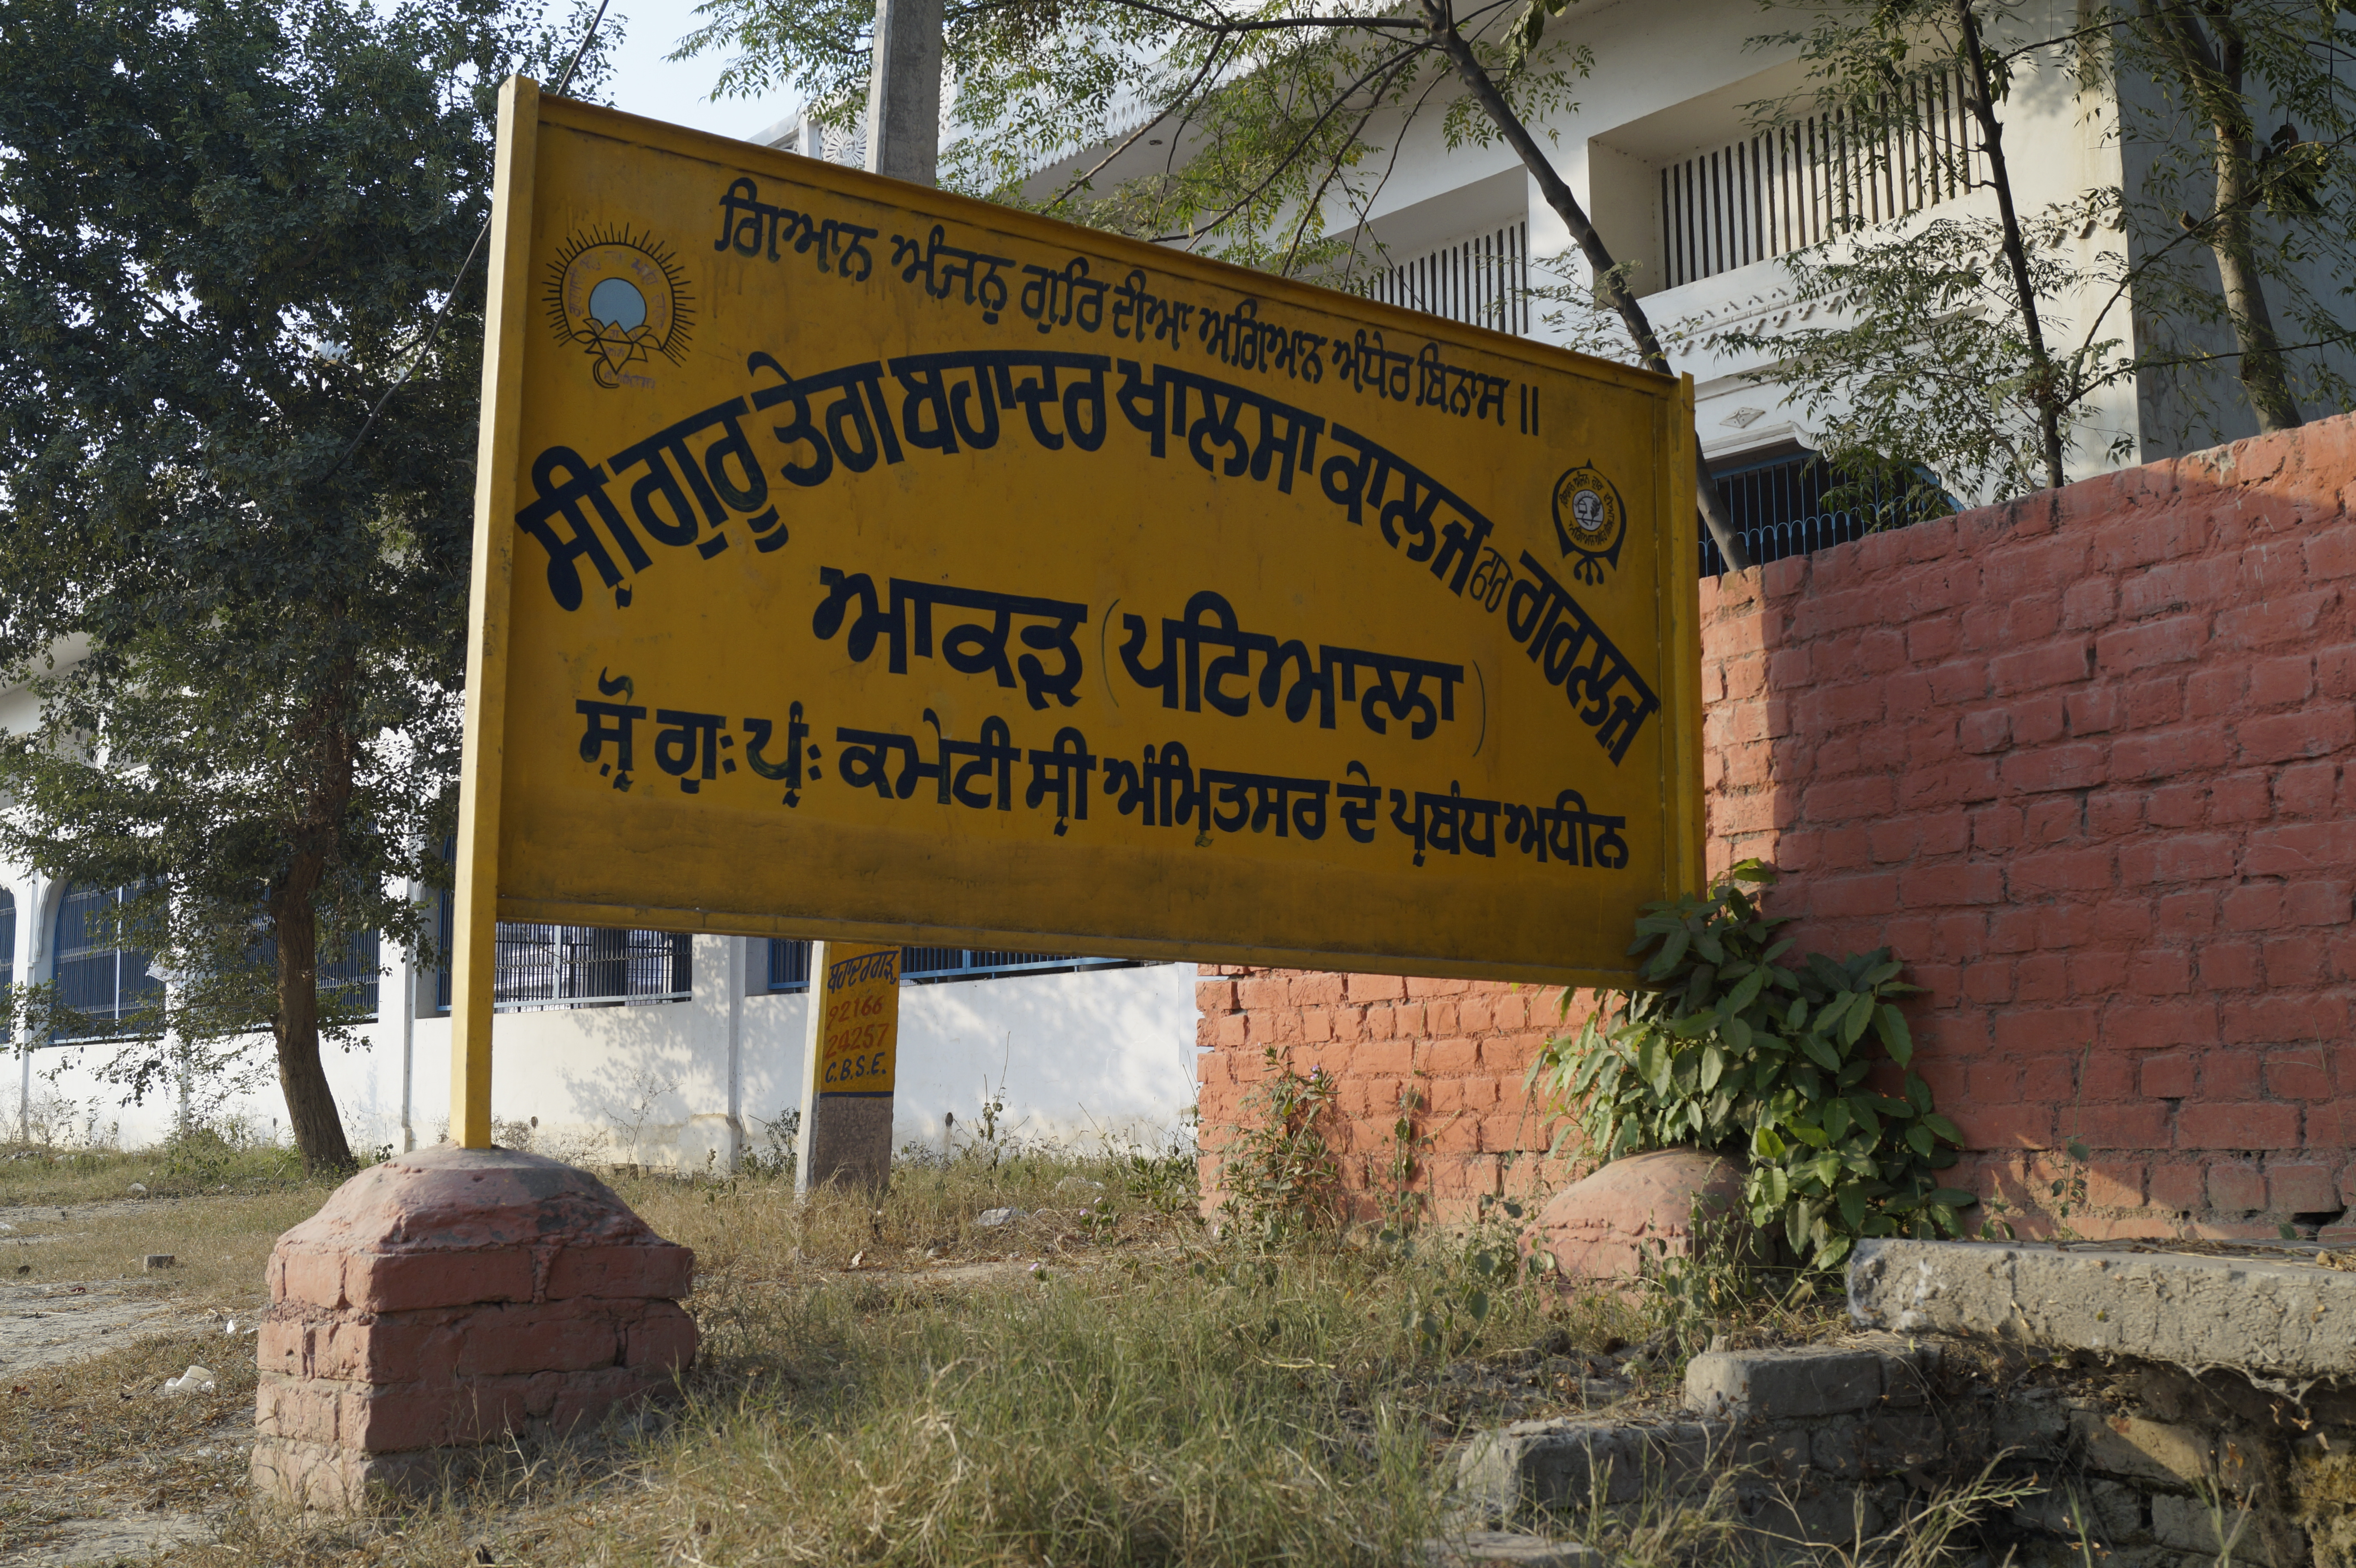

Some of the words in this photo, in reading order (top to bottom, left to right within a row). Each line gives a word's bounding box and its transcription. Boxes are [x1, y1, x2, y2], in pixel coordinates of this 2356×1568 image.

[507, 435, 663, 629] ਸੑੀ
[595, 372, 801, 578] ਗੁਹੂ
[704, 171, 885, 294] ਗਿਆਨ
[739, 341, 911, 509] ਤੇਗ
[881, 218, 1019, 335] ਅੰਜਨੁ
[803, 555, 1098, 719] ਆਕੜ
[880, 345, 1115, 469] ਬਹਾਦਰ
[1013, 249, 1117, 343] ਗੁਰਿ
[1105, 264, 1202, 359] ਦੀਆ
[1111, 351, 1332, 502] ਖਾਲਸਾ
[1193, 292, 1330, 396] ਅਗ਼ਿਆਨ
[1112, 578, 1476, 750] ਪਟਿਆਲਾ
[1326, 326, 1415, 411] ਅੰਧੇਰ
[1309, 411, 1502, 606] ਕਾਲਜ
[1408, 339, 1514, 430] ਬਿਨਾਸ
[1461, 541, 1518, 618] ਫਾਰ
[1501, 543, 1669, 780] ਗਰਲਜ਼
[561, 656, 830, 824] ਸ਼ੋੁਗੁਃਪੁੰਃ
[832, 703, 1028, 838] ਕਮੇਟੀ
[1020, 717, 1105, 854] ਸੀ
[1099, 728, 1338, 862] ਅੰਮ੍ਰਿਤਸਰ
[1335, 751, 1383, 860] ਦੇ
[1383, 769, 1503, 876] ਪੁਬੰਧ
[1502, 777, 1643, 878] ਅਧੀਨ
[820, 1048, 890, 1091] C.B.S.E.
[823, 989, 890, 1034] 92166
[822, 1015, 896, 1063] 24257
[825, 948, 904, 996] ਬਹਾਦਰਗੜ੍ਹ